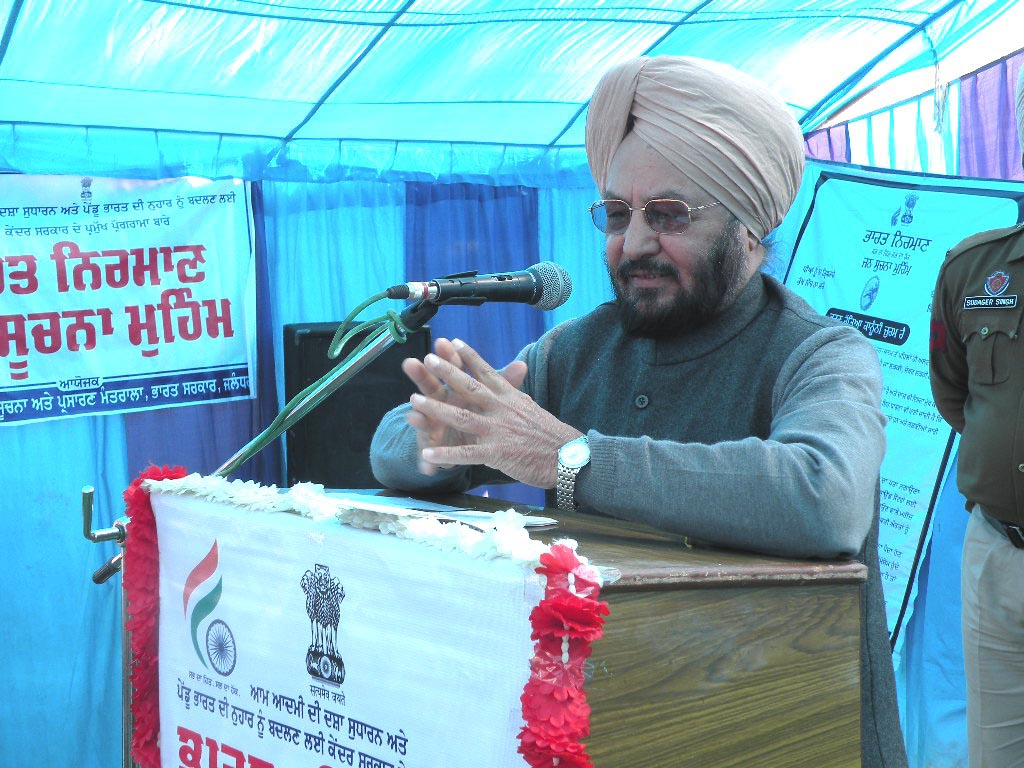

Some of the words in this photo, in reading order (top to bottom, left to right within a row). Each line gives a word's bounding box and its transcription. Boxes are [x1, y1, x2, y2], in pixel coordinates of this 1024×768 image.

[1, 222, 33, 241] ਕੇਂਦਰ
[21, 203, 59, 222] ਸੁਧਾਰਨ
[31, 221, 69, 240] ਸਰਕਾਰ
[59, 200, 80, 220] ਅਤੇ
[69, 219, 83, 238] ਦੇ
[79, 198, 102, 222] ਪੇਂਡੂ
[81, 218, 110, 239] ਪ੍ਰਮੁੱਖ
[101, 198, 132, 217] ਭਾਰਤ
[108, 215, 151, 236] ਪ੍ਰੋਗਰਾਮਾ
[128, 196, 148, 215] ਦੀ
[145, 193, 175, 214] ਨਹਾਰ
[151, 213, 173, 230] ਬਾਰੇ
[173, 190, 189, 211] ਨੂੰ
[186, 189, 218, 207] ਬਦਲਣ
[217, 188, 240, 207] ਲਈ
[860, 226, 894, 248] ਭਾਰਤ
[887, 229, 933, 254] ਨਿਰਮਾਣ
[45, 237, 218, 300] ਨਿਰਮਾਣ
[121, 285, 243, 363] ਮੁਹਿੰਮ
[29, 389, 55, 414] ਅਤੇ
[55, 389, 100, 416] ਪ੍ਰਸਾਰਣ
[56, 371, 103, 390] ਆਯੋਜਕ
[97, 382, 150, 408] ਮਤਰਾਲਾ
[147, 379, 181, 404] ਭਾਰਤ
[181, 376, 219, 399] ਸਰਕਾਰ
[219, 369, 251, 395] ਜਲੰਧਰ
[169, 673, 194, 713] ਪੇਂਡੂ
[193, 686, 217, 715] ਭਾਰਤ
[215, 693, 233, 721] ਦੀ
[228, 699, 258, 732] ਨੁਹਾਰ
[247, 677, 272, 708] ਆਮ
[253, 706, 267, 741] ਨੂੰ
[267, 711, 303, 749] ਬਦਲਣ
[268, 686, 307, 721] ਆਦਮੀ
[305, 697, 323, 726] ਦੀ
[301, 727, 329, 757] ਲਈ
[320, 705, 346, 737] ਦਸ਼ਾ
[325, 730, 357, 767] ਕੇਂਦਰ
[345, 711, 383, 754] ਸੁਧਾਰਨ
[384, 726, 413, 758] ਅਤੇ